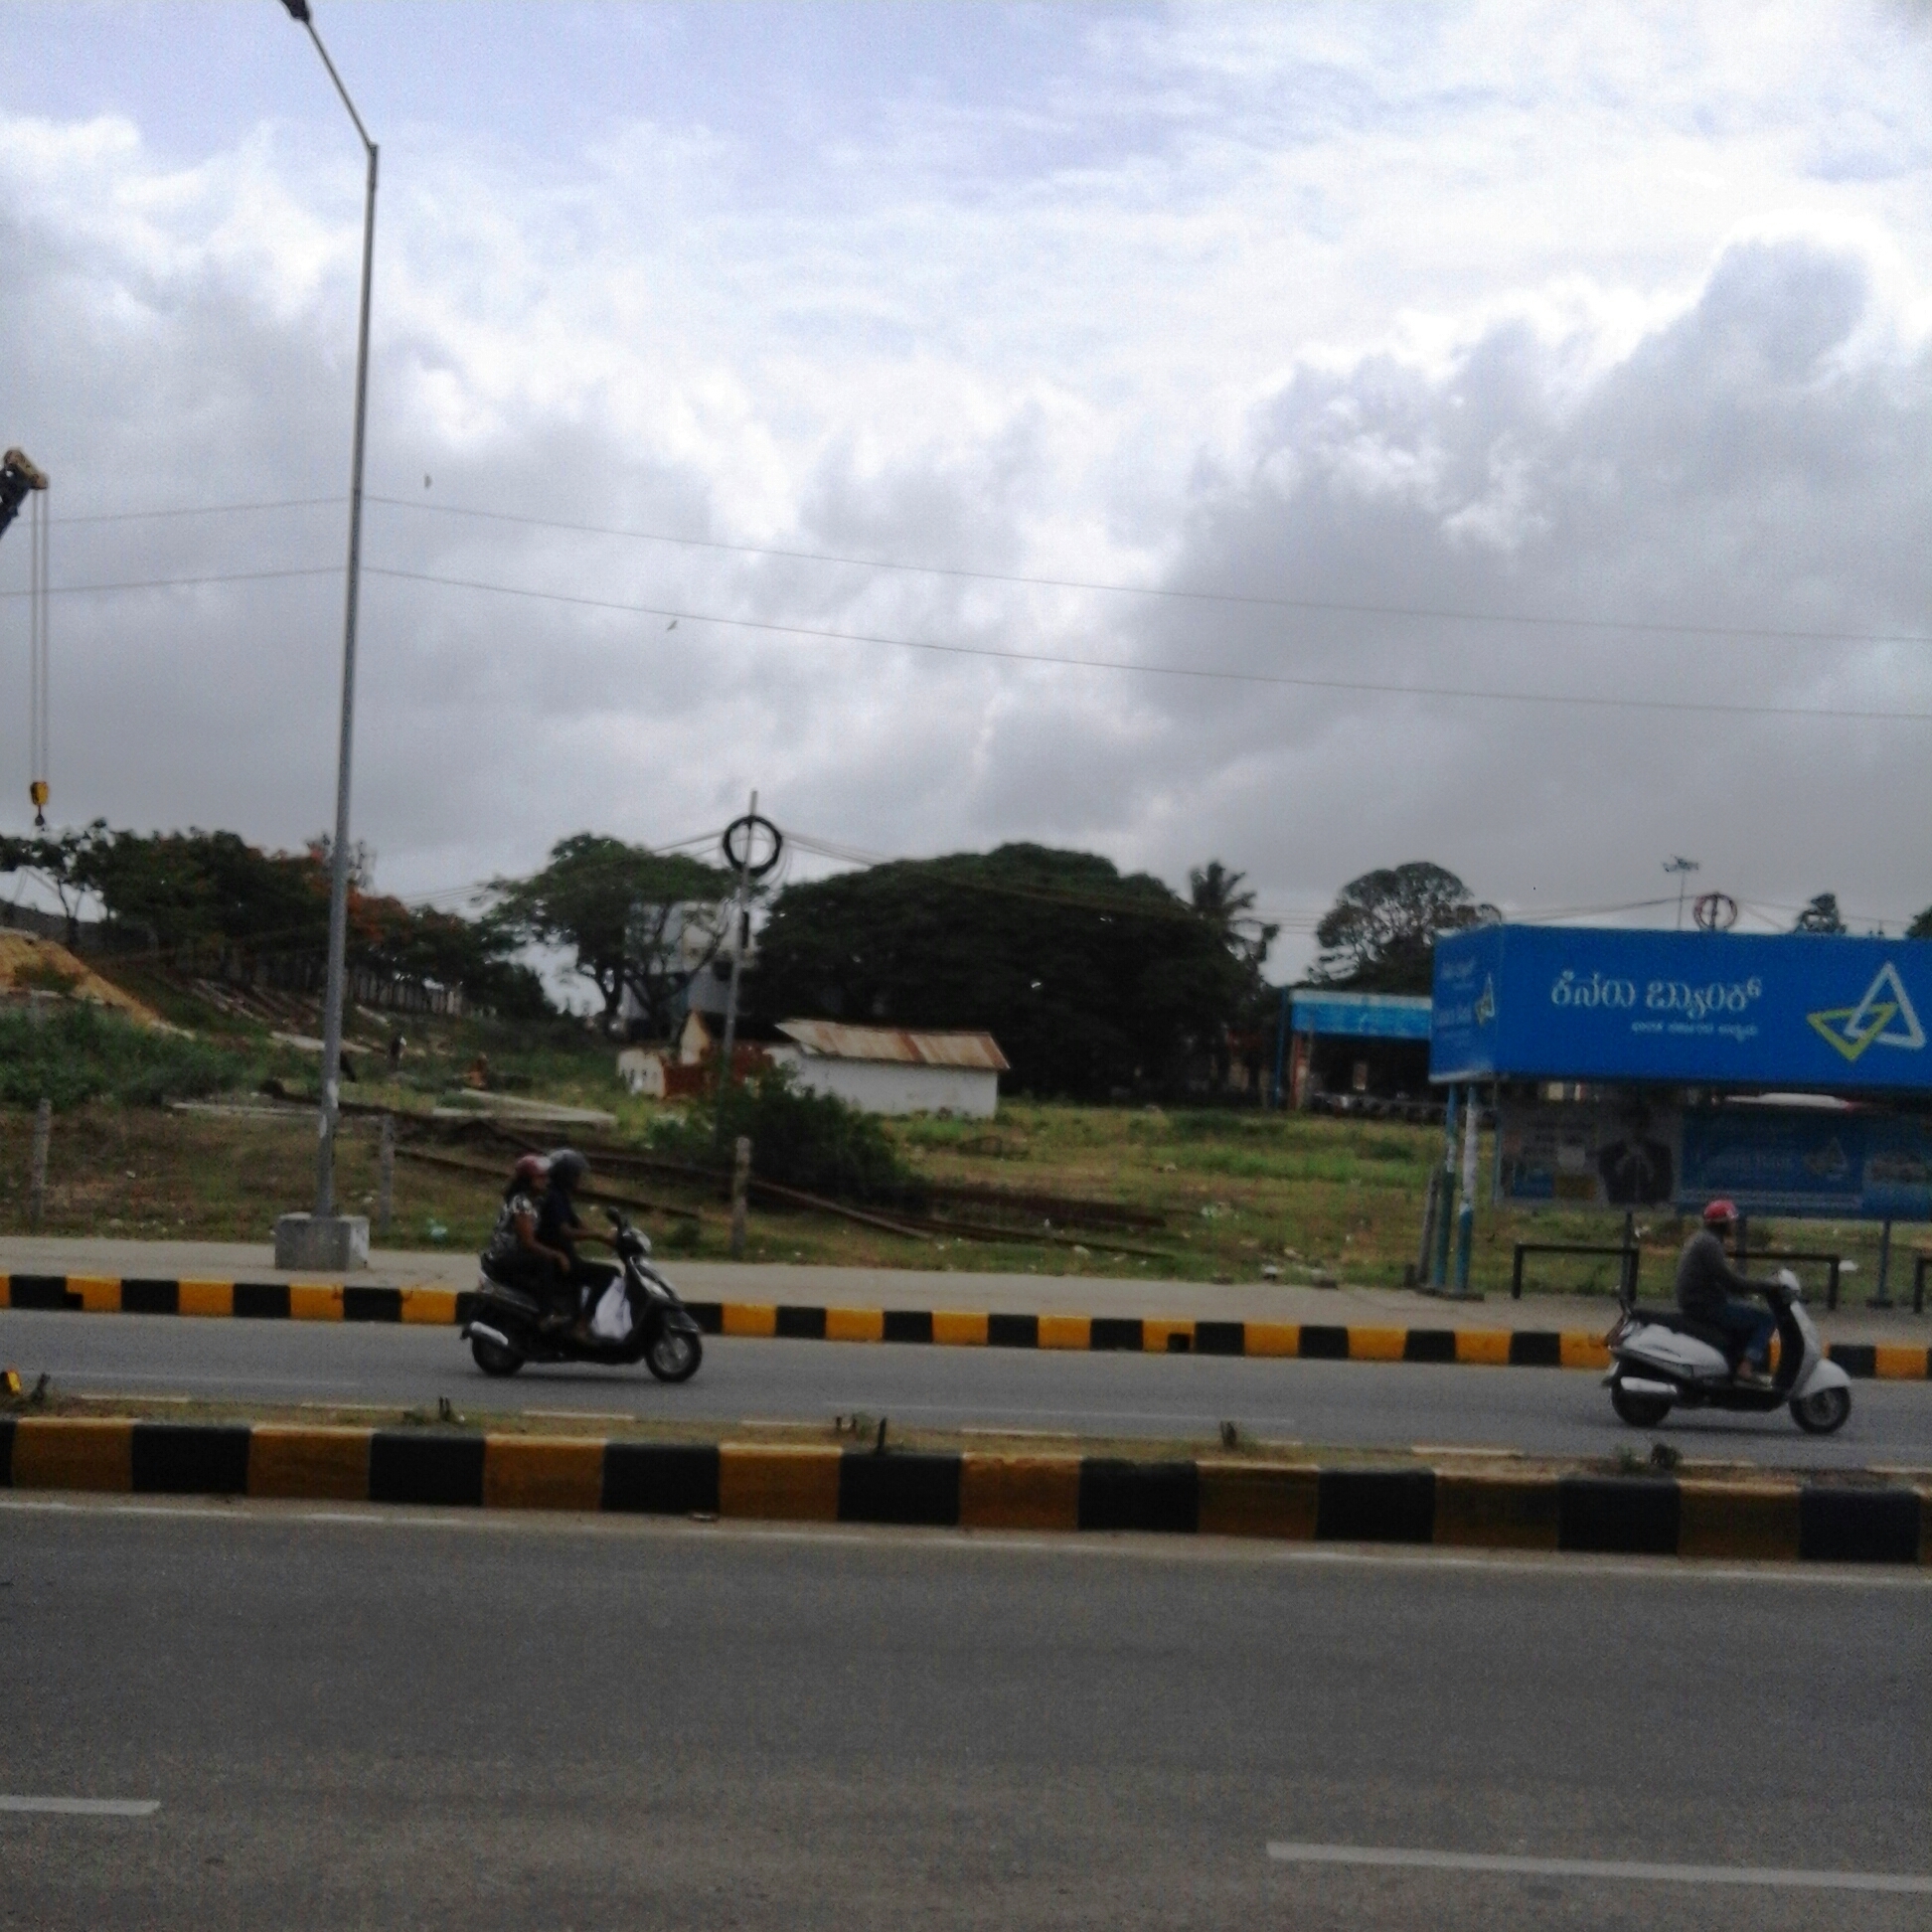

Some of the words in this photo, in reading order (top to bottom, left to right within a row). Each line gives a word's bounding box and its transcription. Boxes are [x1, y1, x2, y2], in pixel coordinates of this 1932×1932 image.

[1535, 961, 1643, 1015] ಕೆನರಾ
[1636, 969, 1771, 1026] ಬ್ಯಾಂಕ್